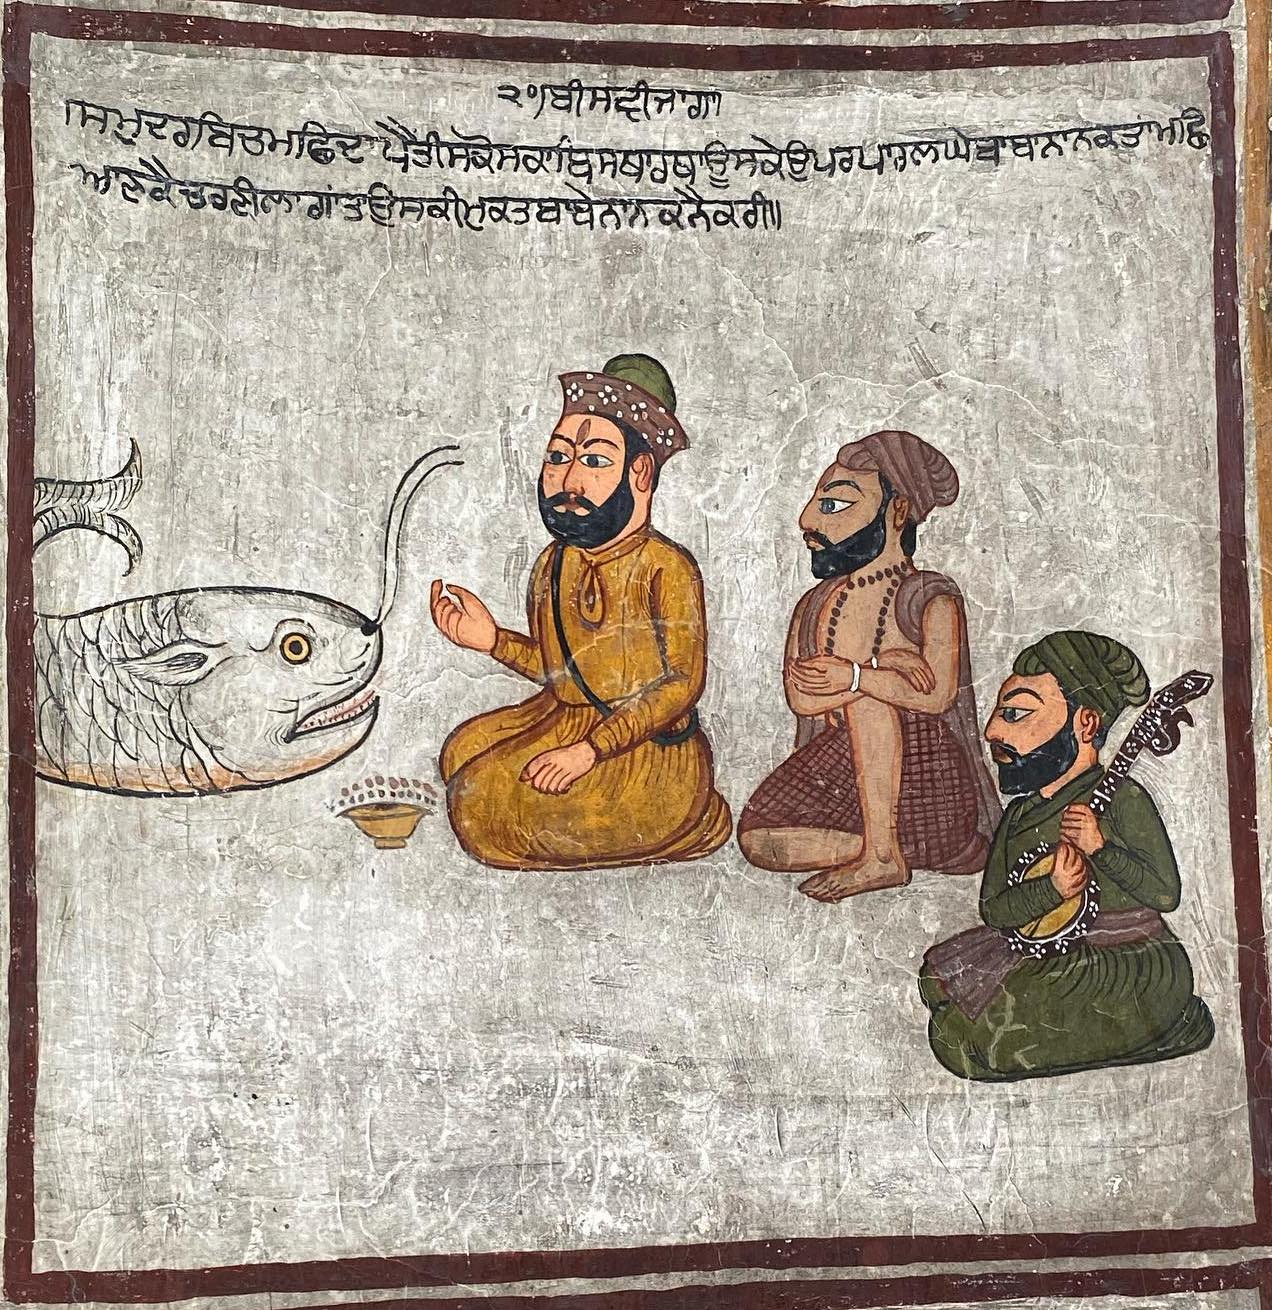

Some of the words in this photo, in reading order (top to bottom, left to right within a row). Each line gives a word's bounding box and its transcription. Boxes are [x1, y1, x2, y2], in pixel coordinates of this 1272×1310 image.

[491, 75, 539, 119] ੨੦
[527, 75, 728, 132] ਬੀਸਵੀਜਾਗਾ
[57, 93, 1213, 192] ।ਸਮੰਦਰਬਿਚਮਫਿਦਾ ਪੈਂਤੀਸਕੋਸਕਾਬਿਸਥਾਰਥਾਊਸਕੇਉਪਰਪਾਰਲਘੇਬਾਬਾਨਾਨਕਤਾਂਮਛਿ
[61, 150, 787, 249] ਆਣਕੈਚਰਣੀਲਾਗਾਂਤਉਸਕੀਮੁਕਤਬਾਬੇਨਾਨਕਨੈਕਗੀ॥